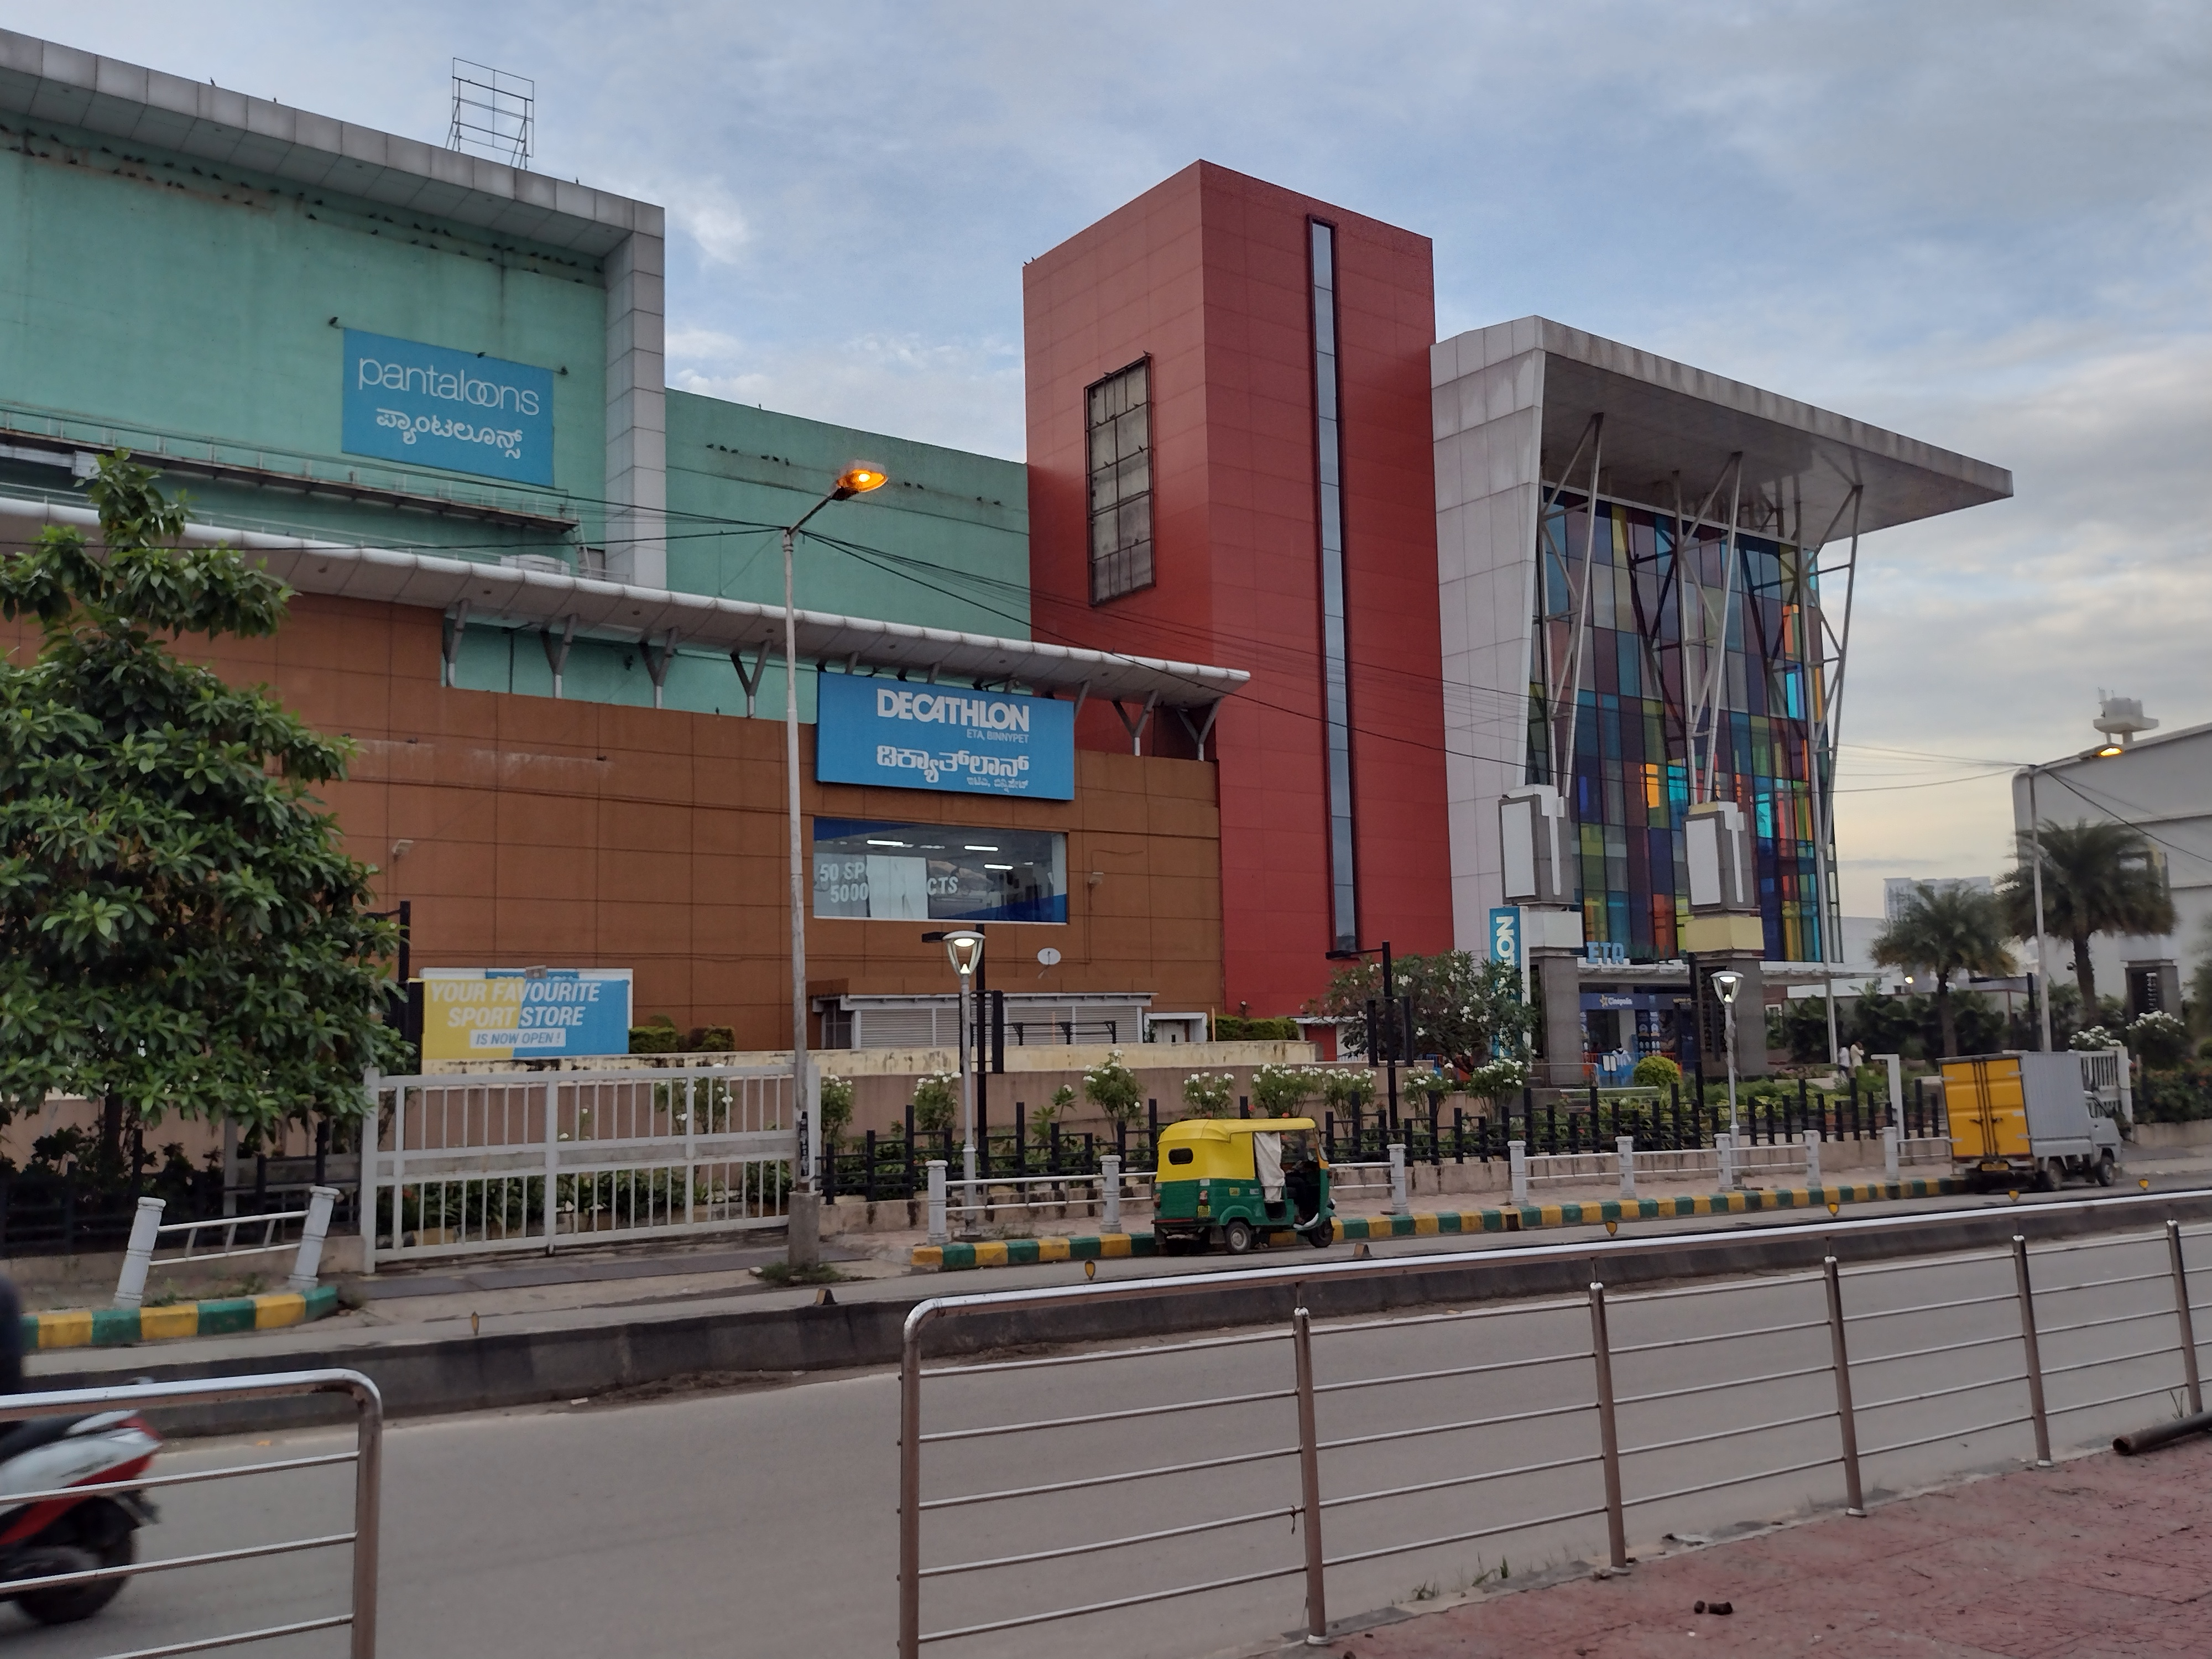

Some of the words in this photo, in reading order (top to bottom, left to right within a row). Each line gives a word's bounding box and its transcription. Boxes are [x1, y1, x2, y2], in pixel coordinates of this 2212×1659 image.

[357, 353, 544, 419] pantaloons
[373, 404, 525, 462] ಪ್ಯಾಂಟಲೂನ್ಸ್
[874, 685, 1031, 736] DECATHLON
[962, 727, 985, 743] ETA
[984, 728, 1030, 749] BINNYPET
[993, 776, 1030, 795] ಬಿನ್ನಪೇಟ್
[1583, 938, 1626, 966] ETA
[427, 975, 488, 1004] YOUR
[489, 977, 603, 1004] FAVOURITE
[444, 1002, 516, 1031] SPORT
[517, 1003, 587, 1029] STORE
[472, 1029, 489, 1050] IS
[487, 1029, 520, 1047] NOW
[519, 1029, 557, 1047] OPEN